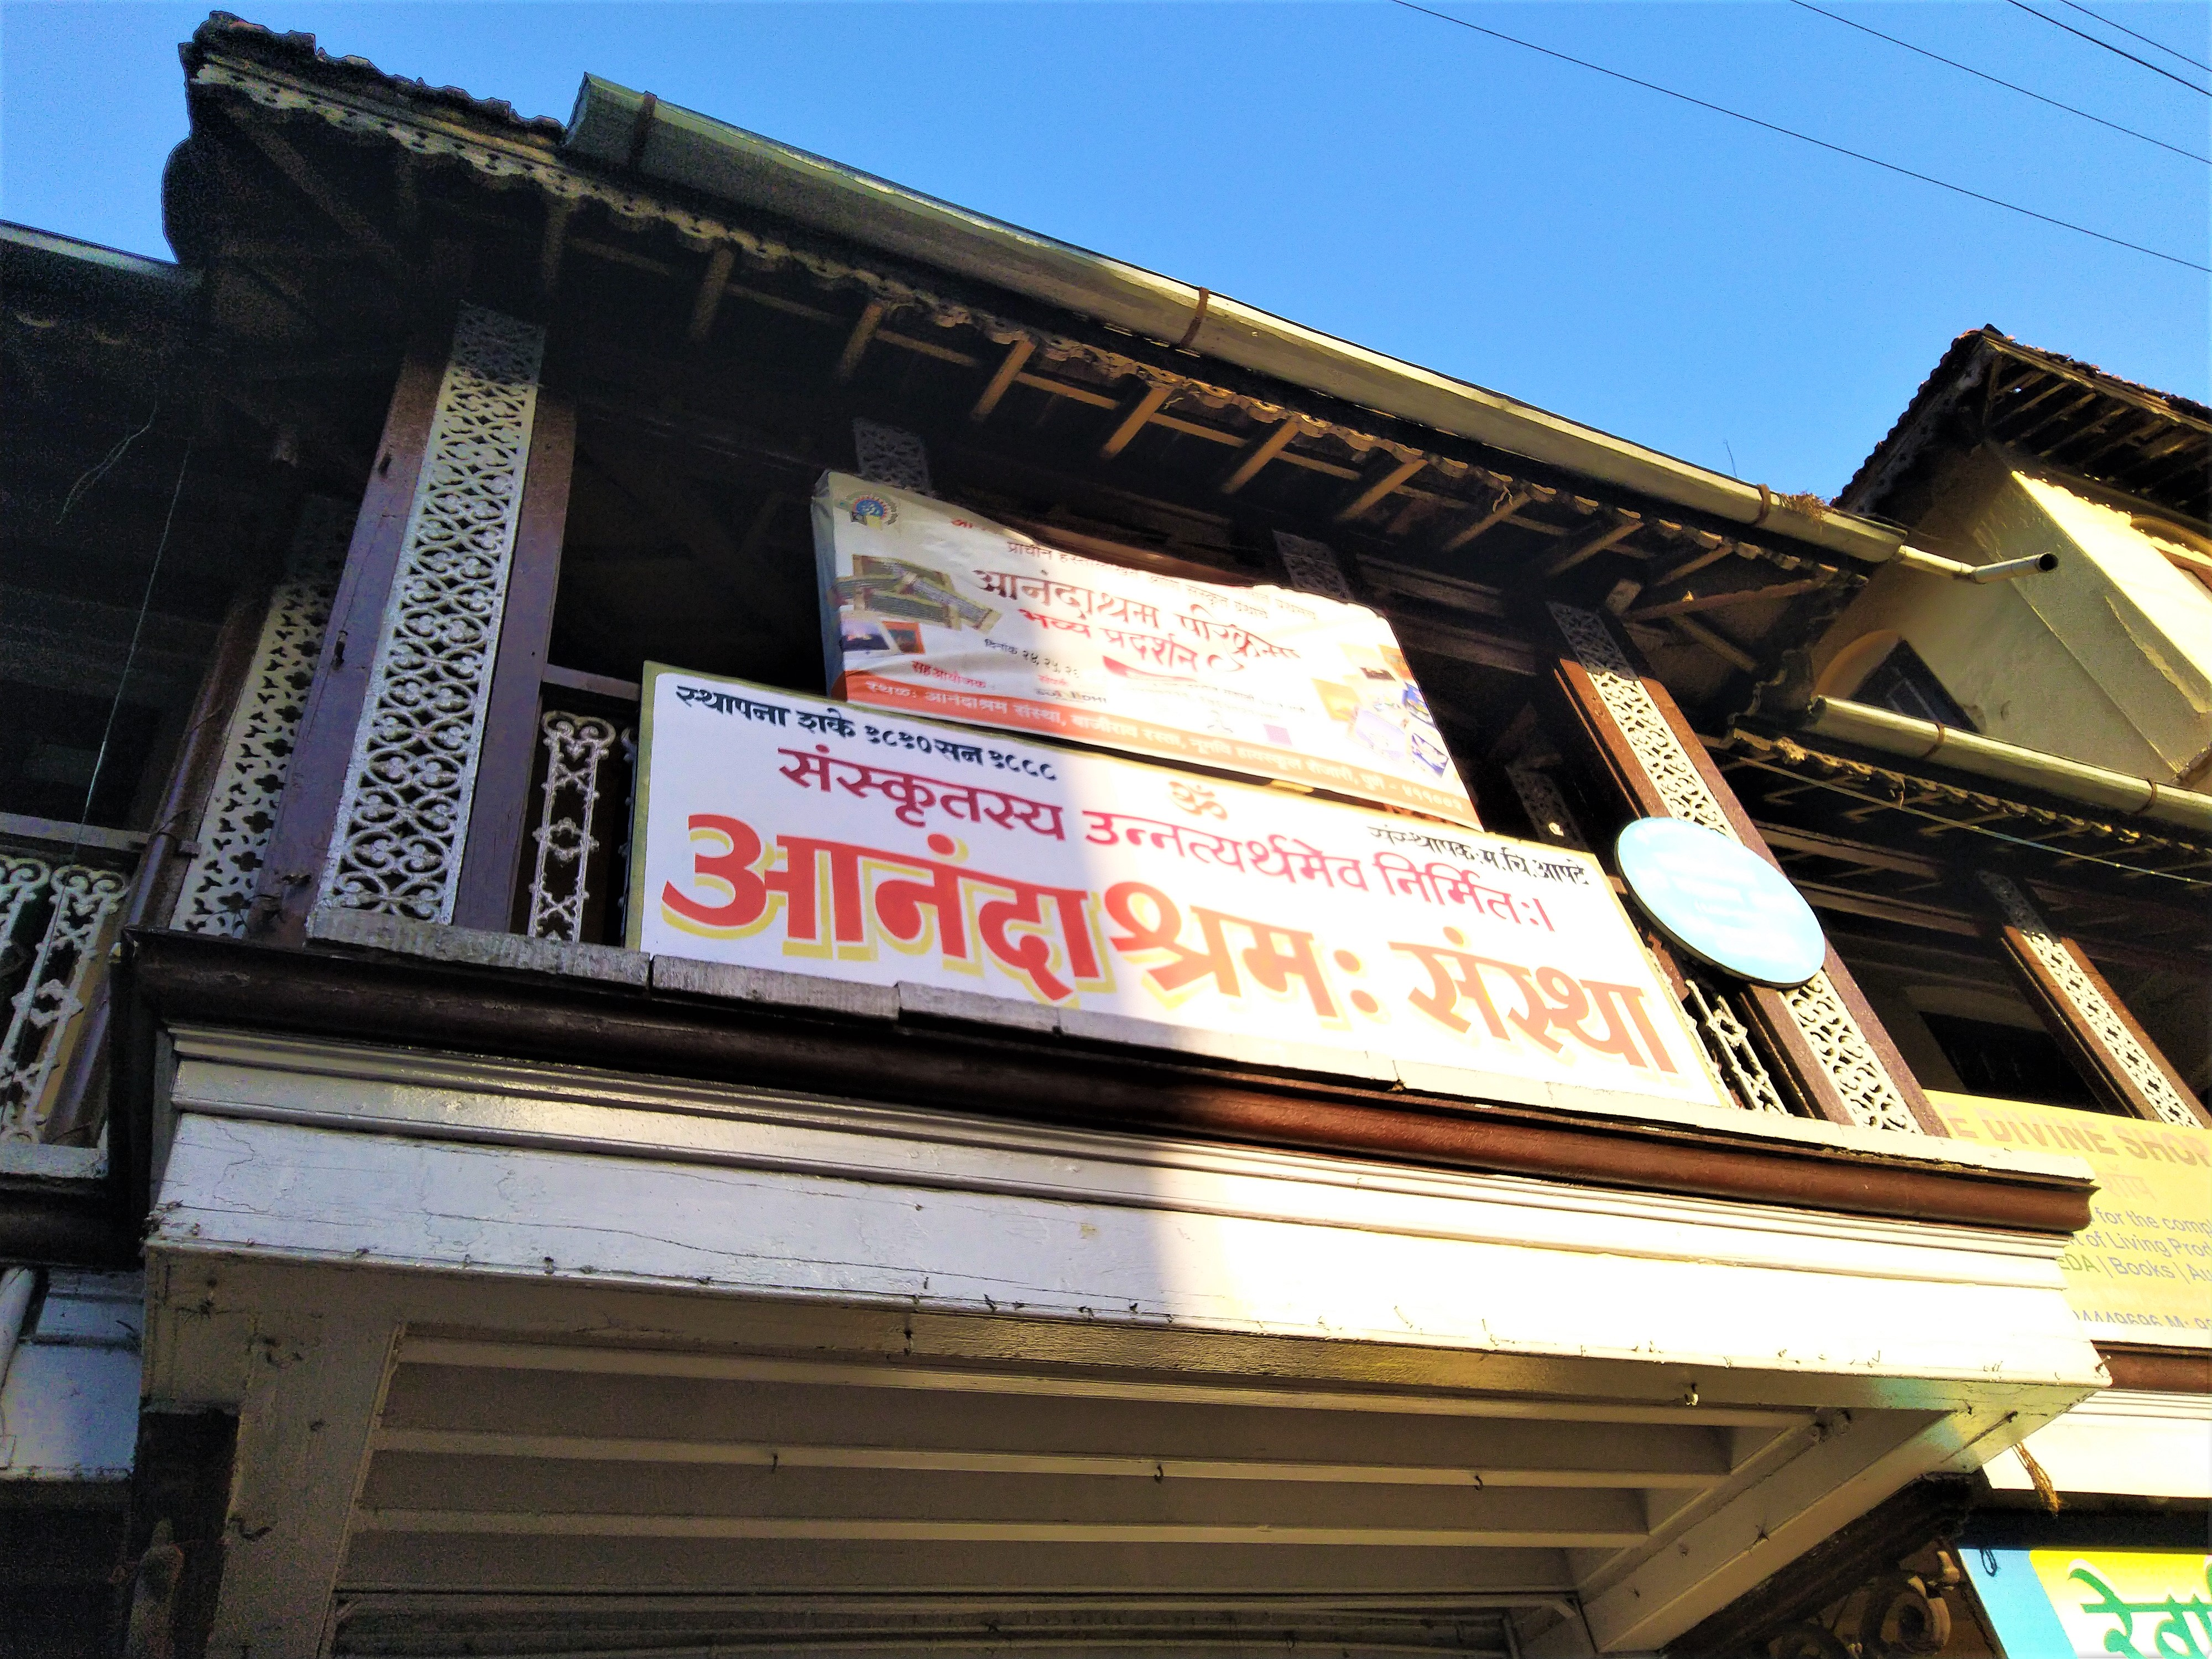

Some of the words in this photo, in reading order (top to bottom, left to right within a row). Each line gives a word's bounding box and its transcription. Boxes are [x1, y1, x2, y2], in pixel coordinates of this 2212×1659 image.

[999, 539, 1057, 565] प्राचीन
[970, 565, 1166, 633] आनंदाश्रम
[1016, 607, 1098, 644] भव्य
[1098, 625, 1204, 679] प्रदर्शन
[669, 681, 794, 731] स्थापना
[792, 703, 860, 745] शके
[859, 720, 935, 762] ९८९०
[932, 733, 987, 773] सन
[987, 744, 1066, 787] ९८८८
[766, 741, 1072, 854] संस्कृतस्य
[1164, 776, 1232, 826] ॐ
[645, 800, 1117, 1010] आनंदा
[1072, 799, 1378, 905] उन्नत्यर्थमेव
[1364, 820, 1485, 869] संस्थापक:
[1366, 848, 1566, 938] निर्मितः।
[1474, 842, 1509, 875] म.
[1495, 842, 1541, 884] चि.
[1528, 854, 1593, 891] आपटे
[1098, 872, 1389, 1043] श्रमः
[1376, 919, 1687, 1088] संस्था
[1929, 1094, 1984, 1141] E
[1964, 1099, 2126, 1159] DIVINE
[2102, 1113, 2211, 1172] SHOP
[2091, 1203, 2131, 1229] for
[2101, 1227, 2176, 1260] Living
[2121, 1207, 2166, 1235] the
[2100, 1253, 2184, 1284] Books